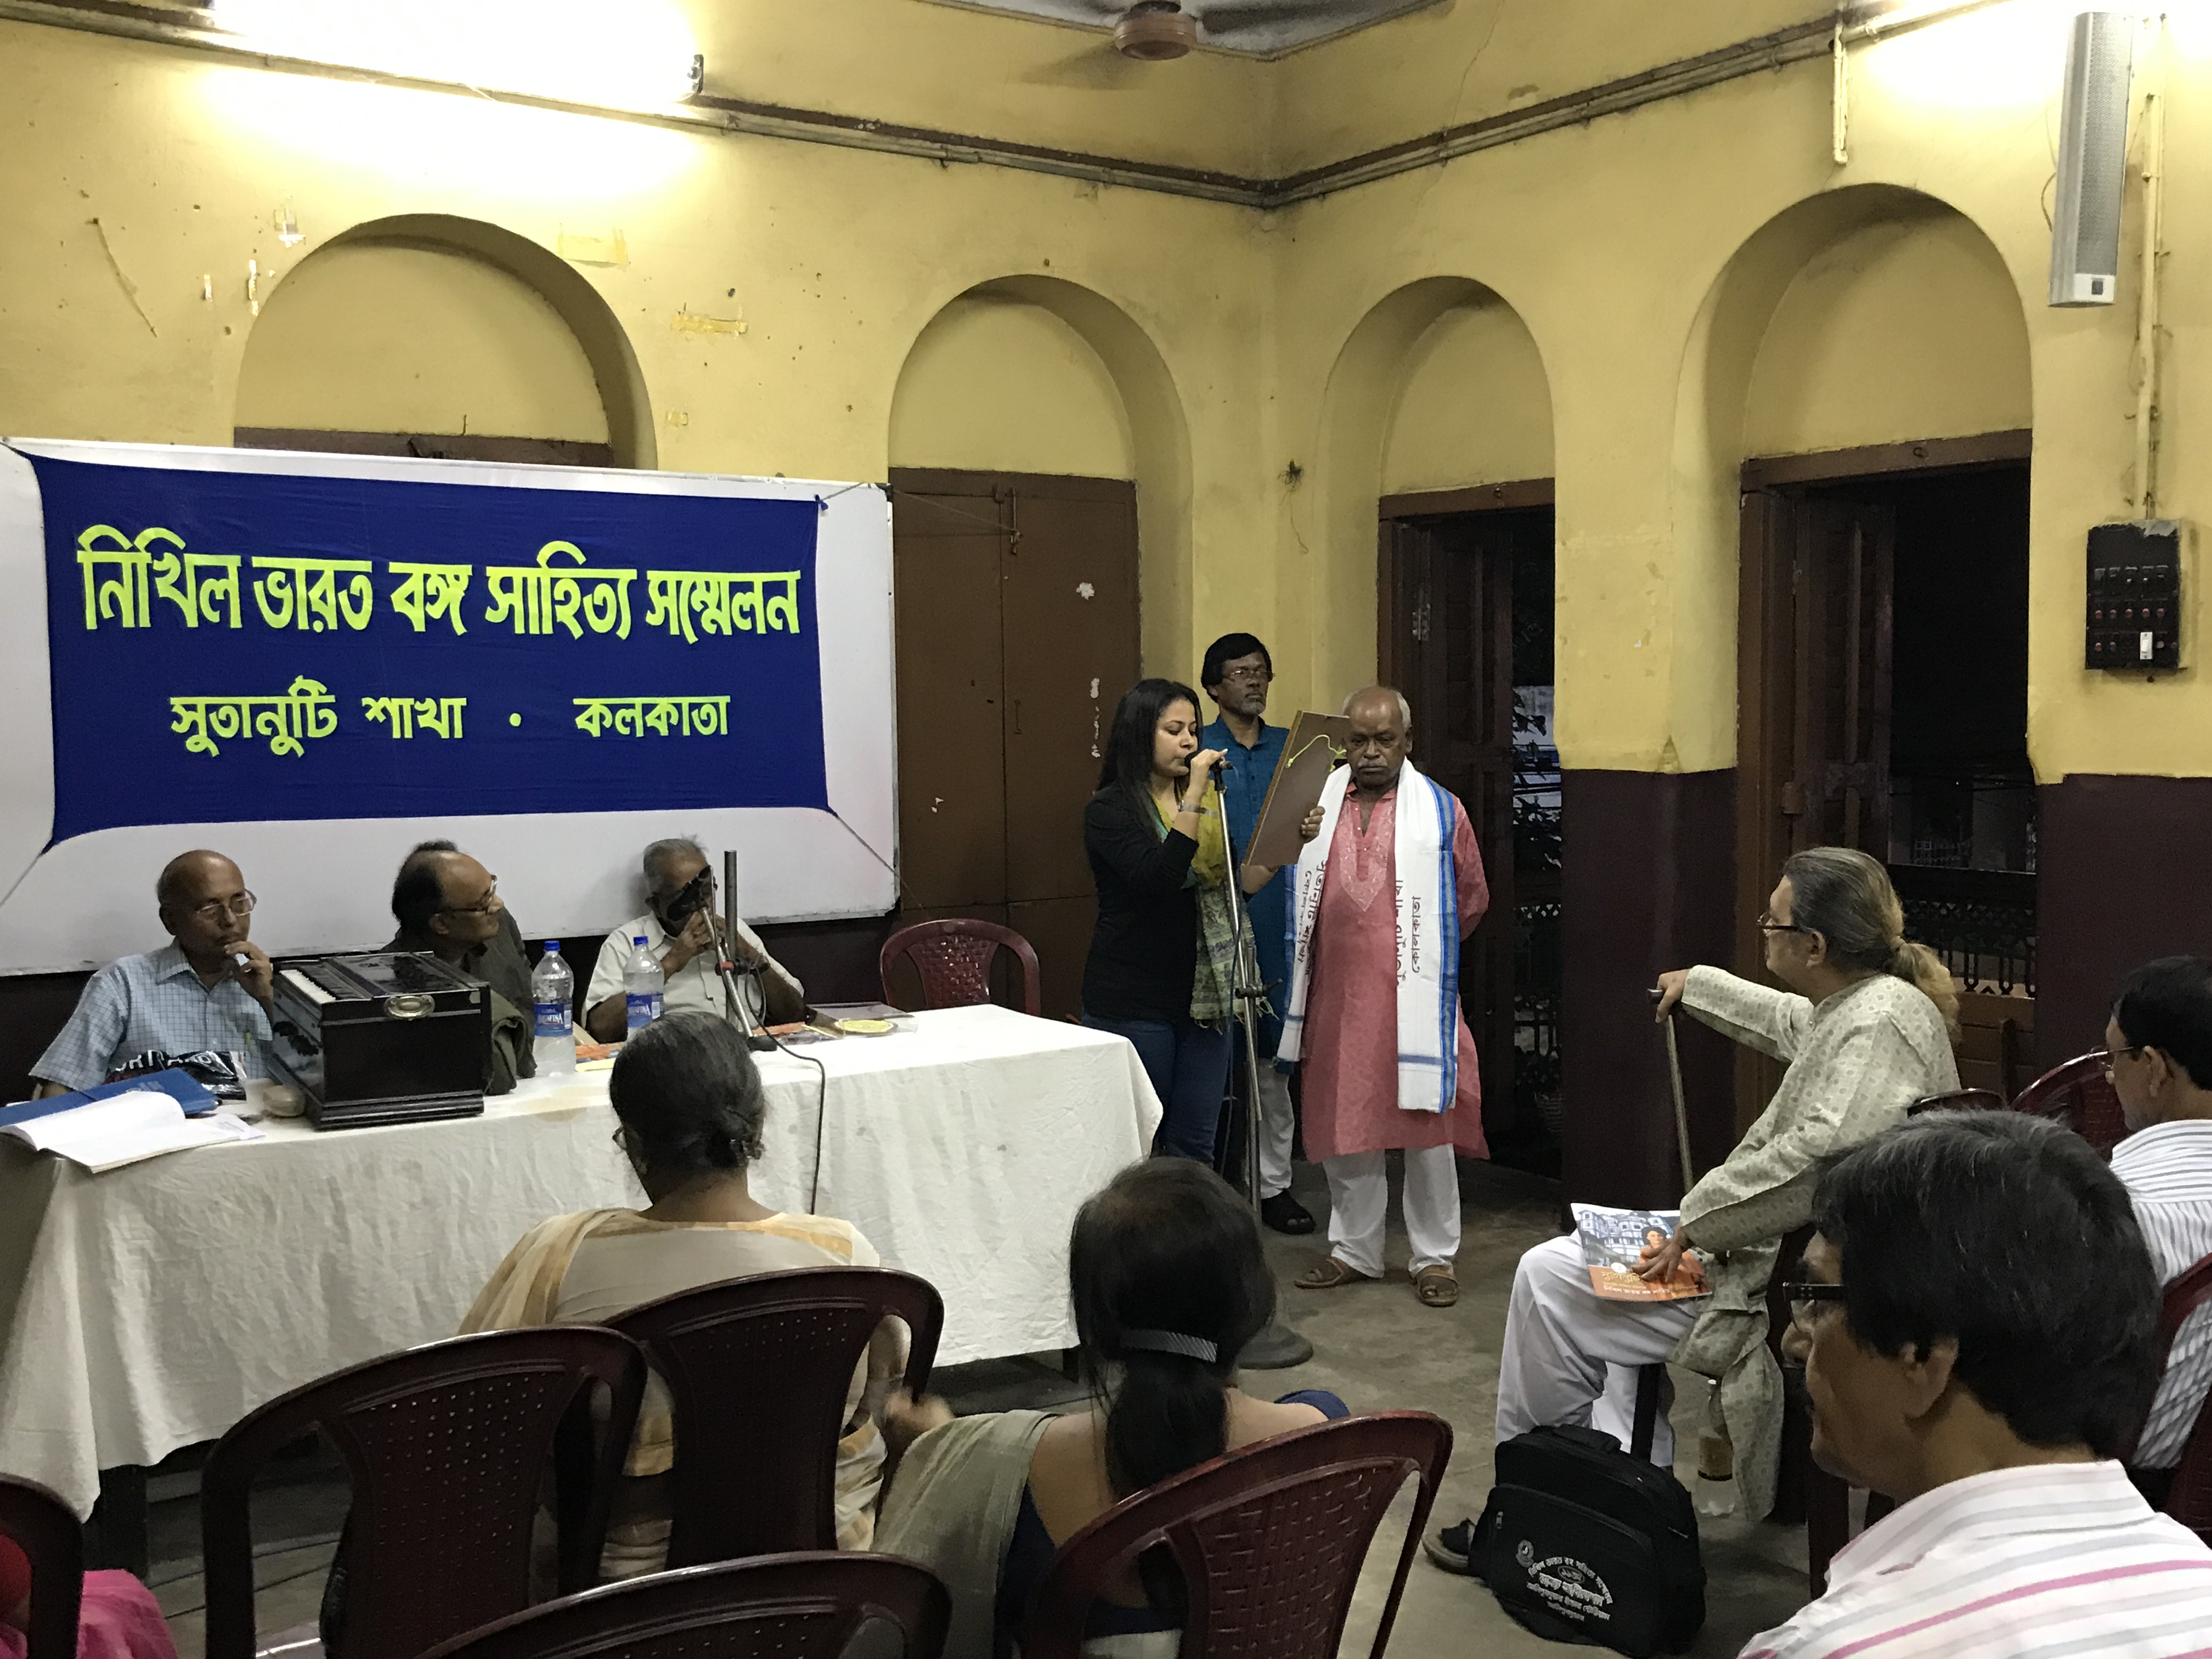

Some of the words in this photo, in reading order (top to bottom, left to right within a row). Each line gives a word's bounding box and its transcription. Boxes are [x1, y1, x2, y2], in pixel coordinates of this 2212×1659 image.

[69, 518, 247, 636] নিখিল
[251, 548, 379, 642] তারত
[377, 552, 479, 640] বঙ্গ
[477, 527, 642, 645] স৷হিত্য
[636, 566, 806, 650] সম্মেলন
[168, 667, 346, 762] সুতানুটি
[360, 687, 471, 744] শাখা
[568, 689, 737, 742] কলকাতা
[1408, 891, 1423, 978] কোলকাতা